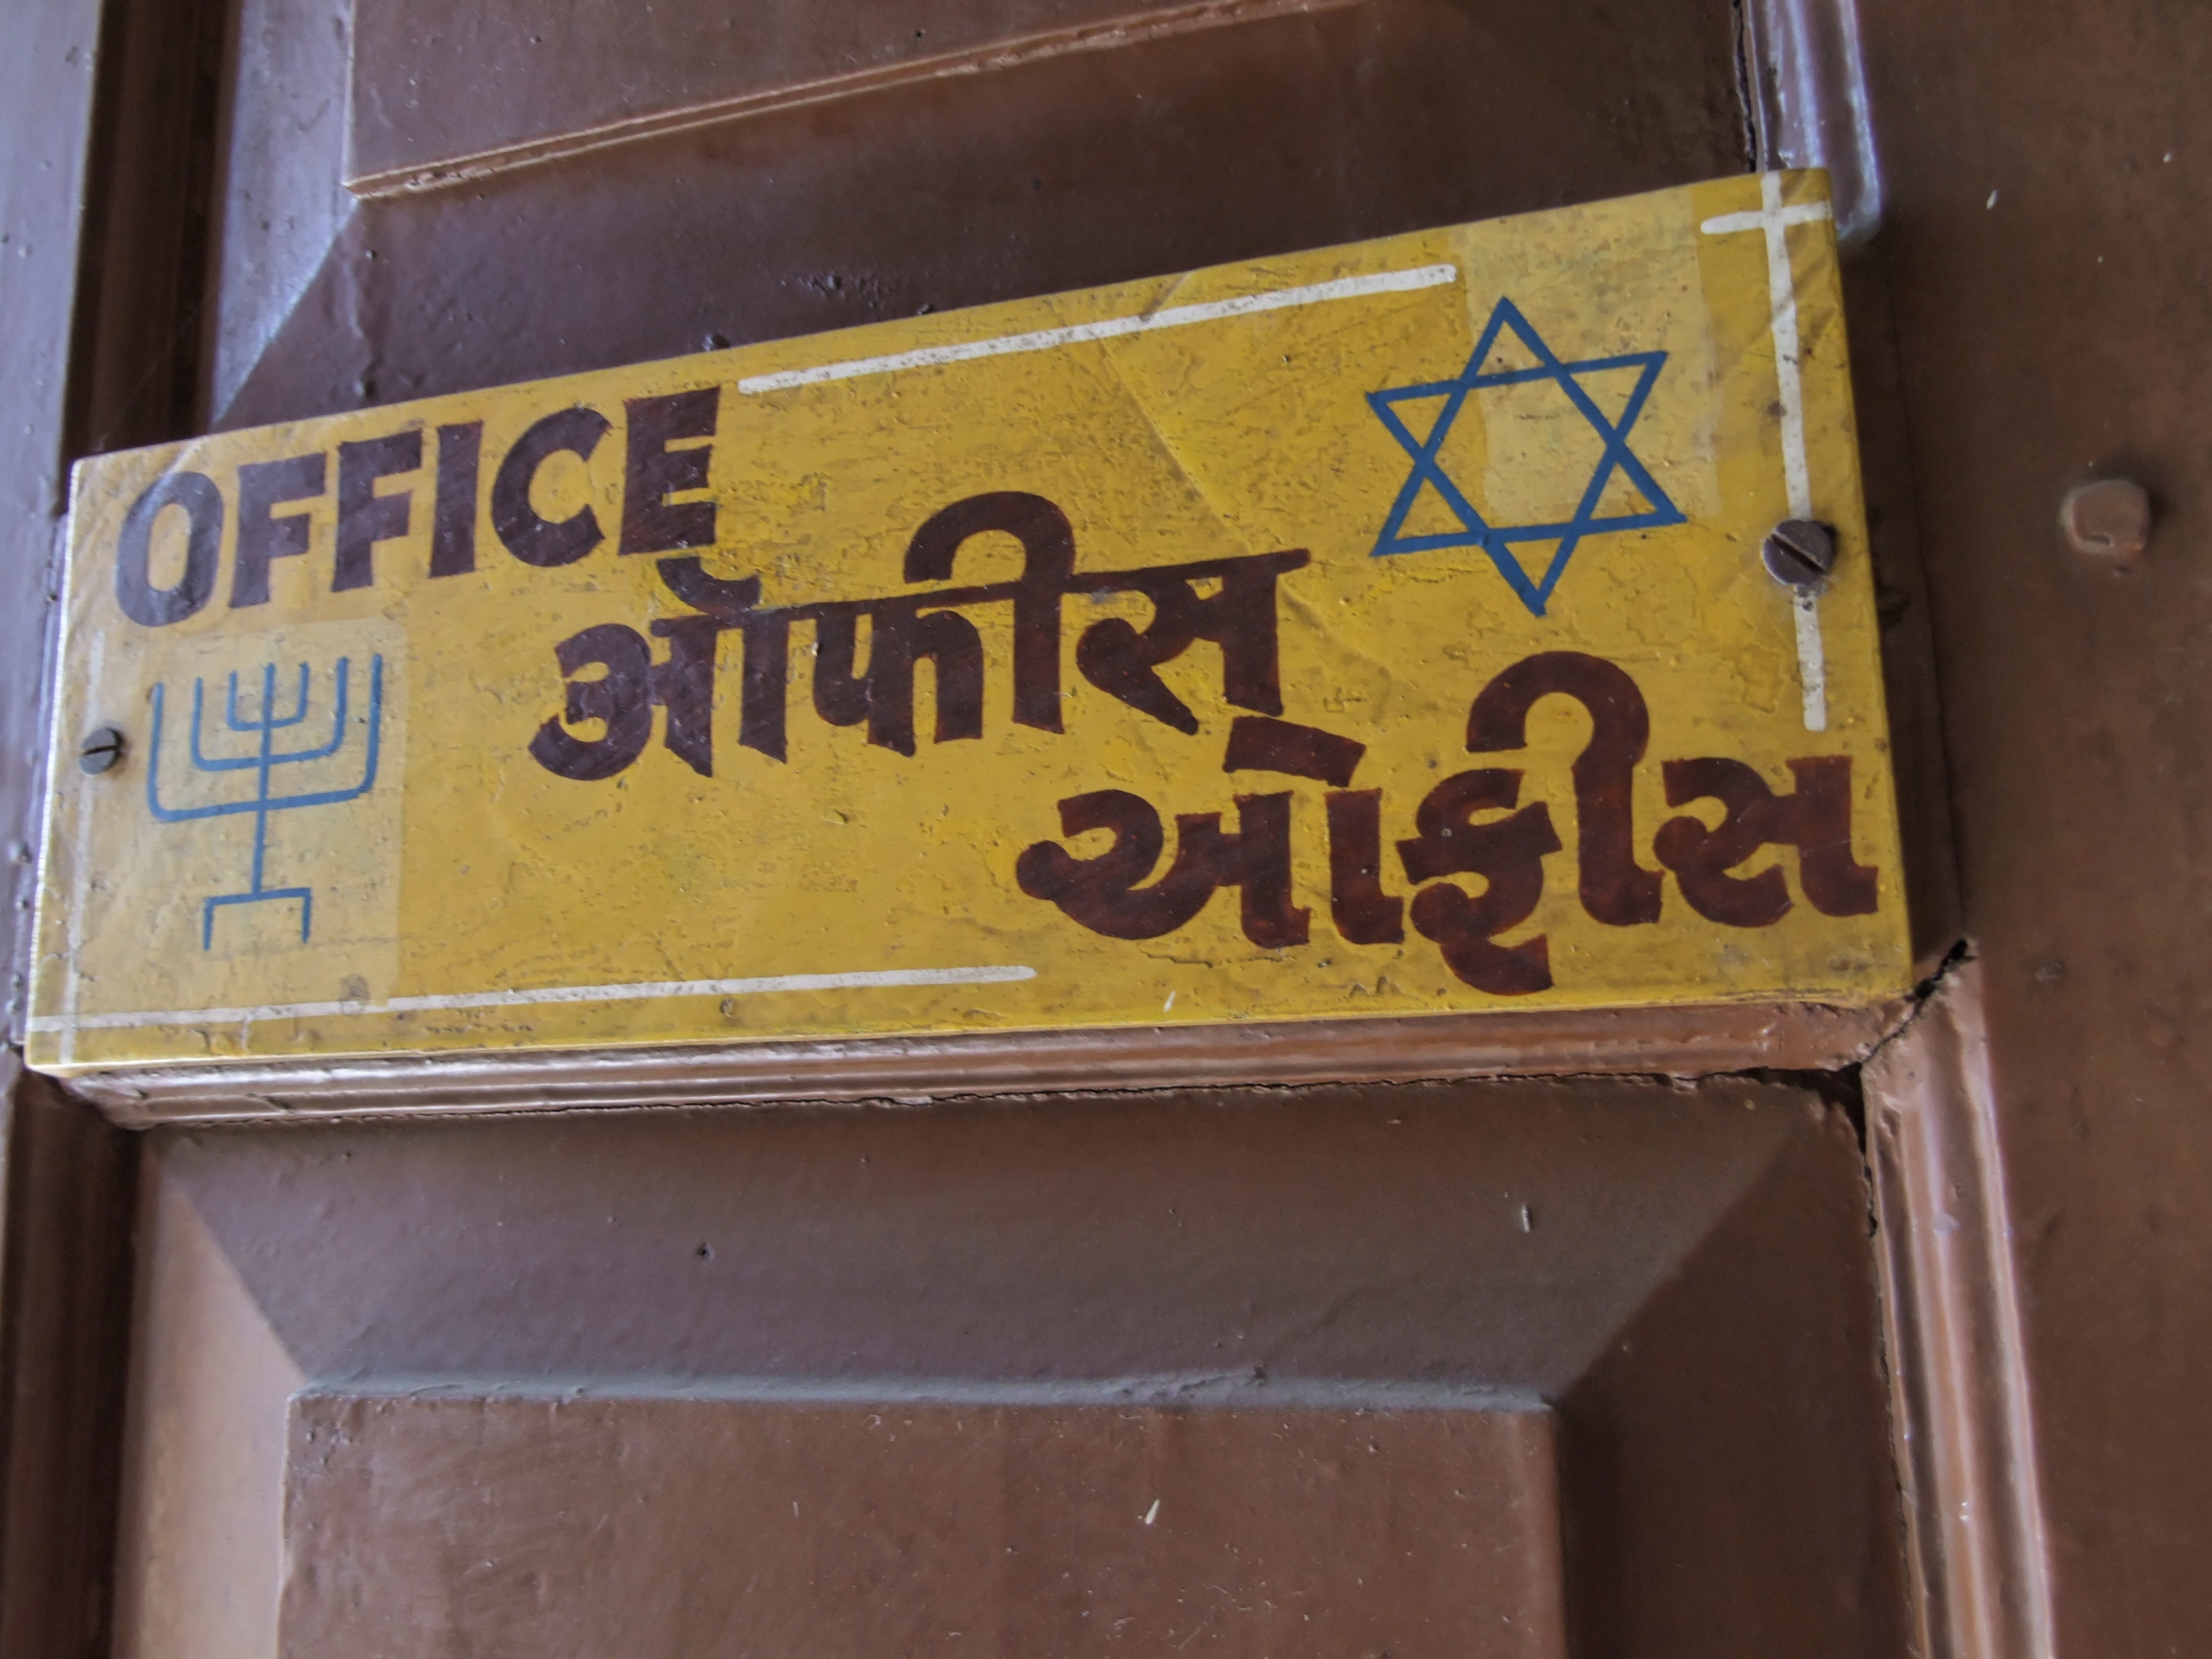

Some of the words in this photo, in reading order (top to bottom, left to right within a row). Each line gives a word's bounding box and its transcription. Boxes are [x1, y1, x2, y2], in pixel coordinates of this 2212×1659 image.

[94, 377, 736, 644] OFFICE
[472, 476, 1329, 812] ओफीस
[984, 632, 1901, 1010] ઓફીસ